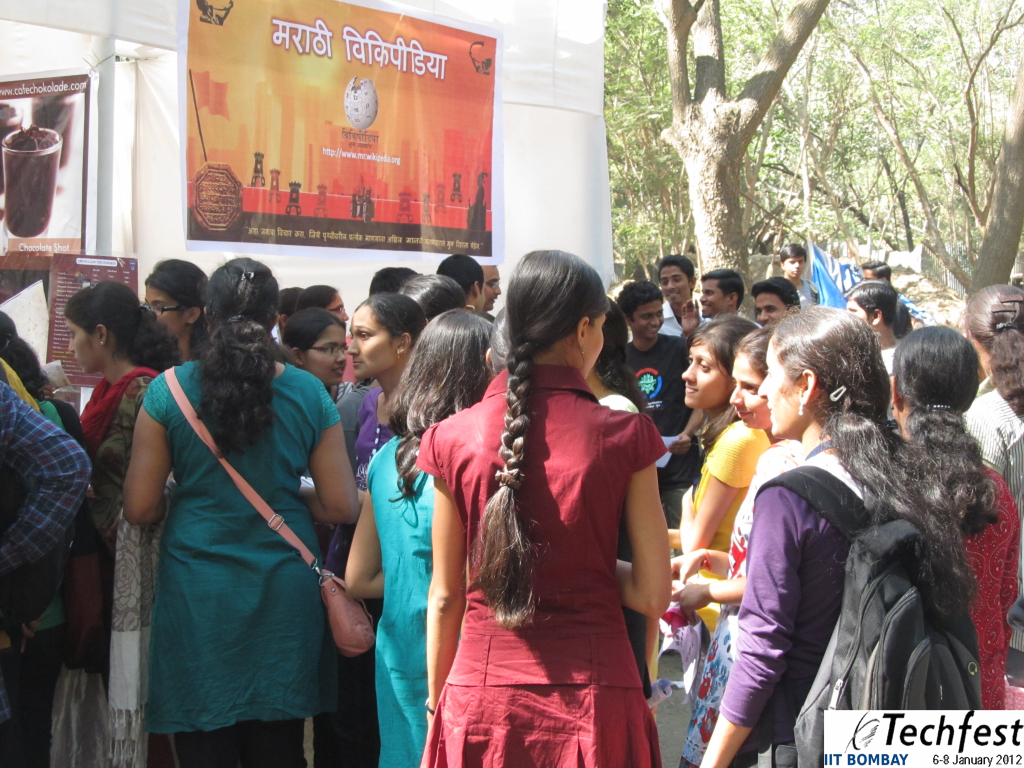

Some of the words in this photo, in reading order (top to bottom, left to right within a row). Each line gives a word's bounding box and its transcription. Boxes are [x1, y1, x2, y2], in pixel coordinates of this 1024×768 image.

[268, 11, 337, 67] मराठी
[338, 20, 452, 83] विकिपीडिया
[337, 123, 384, 148] विकिपीडिया
[315, 142, 407, 171] http://www.mr.wikipedia.org
[241, 224, 261, 239] "अशा
[271, 223, 296, 241] विचार
[287, 227, 309, 243] करा,
[300, 223, 324, 243] जियें
[318, 226, 349, 244] पृथ्वीवरील
[343, 228, 366, 243] प्रत्येक
[883, 704, 1024, 757] Techfest
[818, 747, 844, 768] IIT
[844, 749, 913, 768] BOMBAY
[928, 749, 1024, 768] 6-8January2012